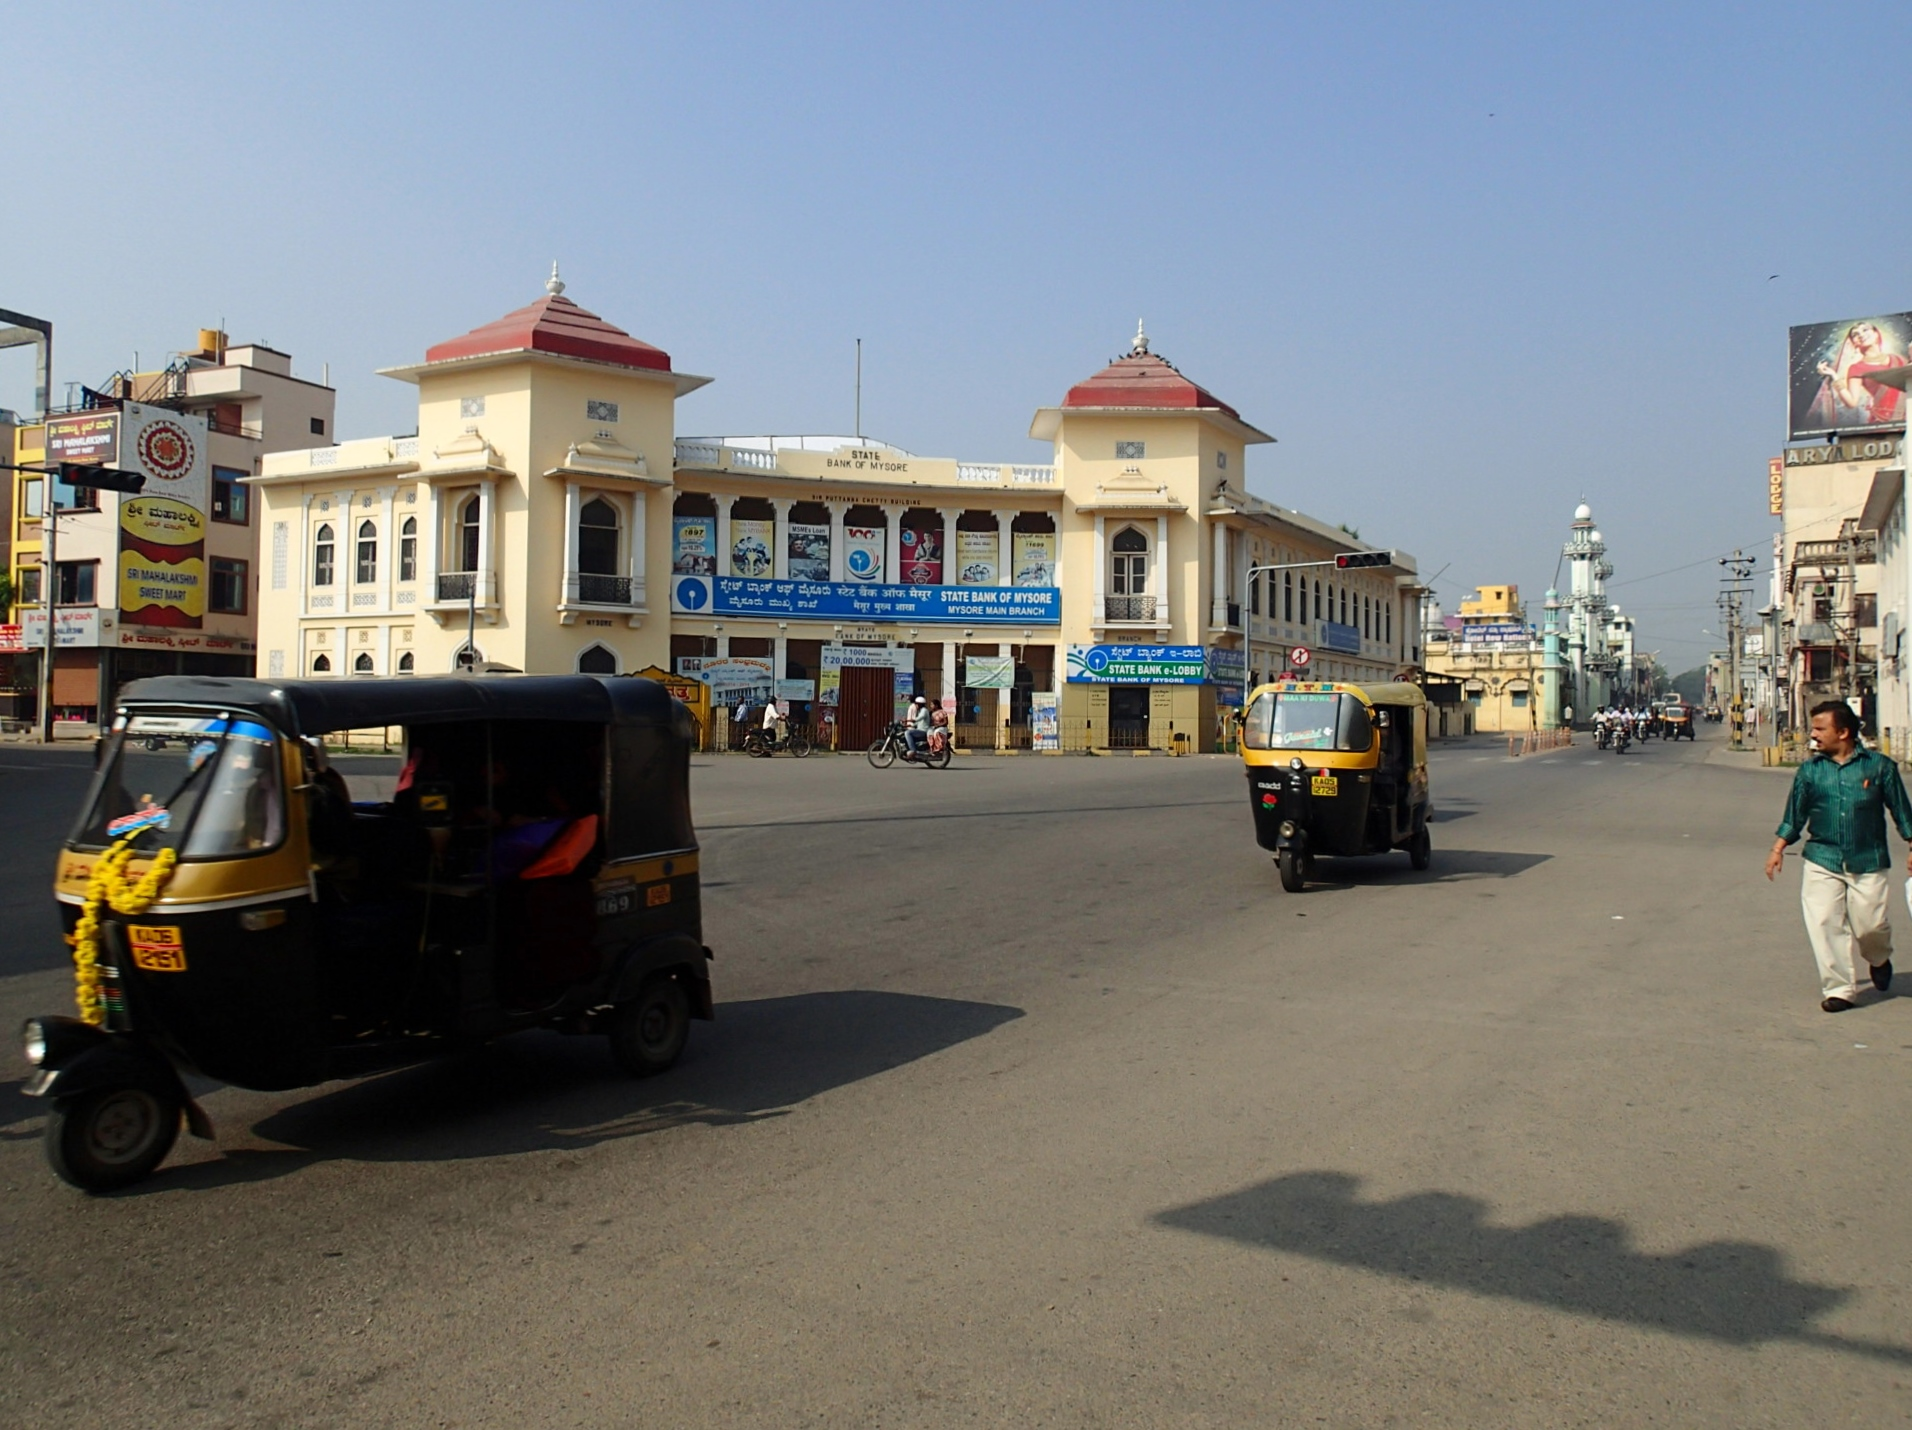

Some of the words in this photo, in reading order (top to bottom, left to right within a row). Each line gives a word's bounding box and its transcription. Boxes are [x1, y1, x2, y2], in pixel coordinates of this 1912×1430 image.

[54, 417, 85, 441] ಮಹಾಲಕ್ಷ್ಮಿ
[46, 429, 115, 451] SRI MAHALAKSHMI
[78, 416, 97, 440] ಸ್ವೀಟ್
[823, 452, 857, 472] BANK
[850, 457, 869, 471] OF
[848, 446, 885, 464] STATE
[866, 457, 912, 477] MYSORE
[119, 496, 148, 523] ಶ್ರೀ
[143, 497, 204, 533] ಮಹಾಲಕ್ಷ್ಯ
[118, 564, 145, 587] SRI
[133, 580, 167, 605] SWEET
[137, 563, 202, 590] MAHALAKSHMI
[161, 582, 190, 609] MART
[713, 571, 747, 597] ಸ್ಟೇಟ್
[723, 590, 767, 613] ಮೈಸೂರು
[741, 577, 777, 599] ಬ್ಯಾಂಕ್
[765, 594, 797, 615] ಮುಖ್ಯ
[771, 579, 797, 600] ಆಫ್
[791, 597, 823, 614] ಶಾಖೆ
[793, 577, 836, 600] ಮೈಸೂರು
[829, 580, 857, 601] स्‍टेट
[849, 591, 876, 621] मैसूर
[854, 579, 882, 603] बैंक
[872, 599, 897, 619] मुख्य
[877, 579, 909, 604] ऑफ
[893, 600, 919, 619] शाखा
[901, 580, 935, 607] मैसूर
[114, 627, 139, 649] ಶ್ರೀ
[1103, 638, 1139, 665] ಸ್ಟೇಟ್
[1128, 646, 1168, 665] ಬ್ಯಾಂಕ್
[1163, 644, 1206, 663] ಇ-ಲಾಬಿ
[1103, 661, 1139, 679] STATE
[1136, 661, 1165, 679] BANK
[1158, 662, 1203, 680] e-LOBBY